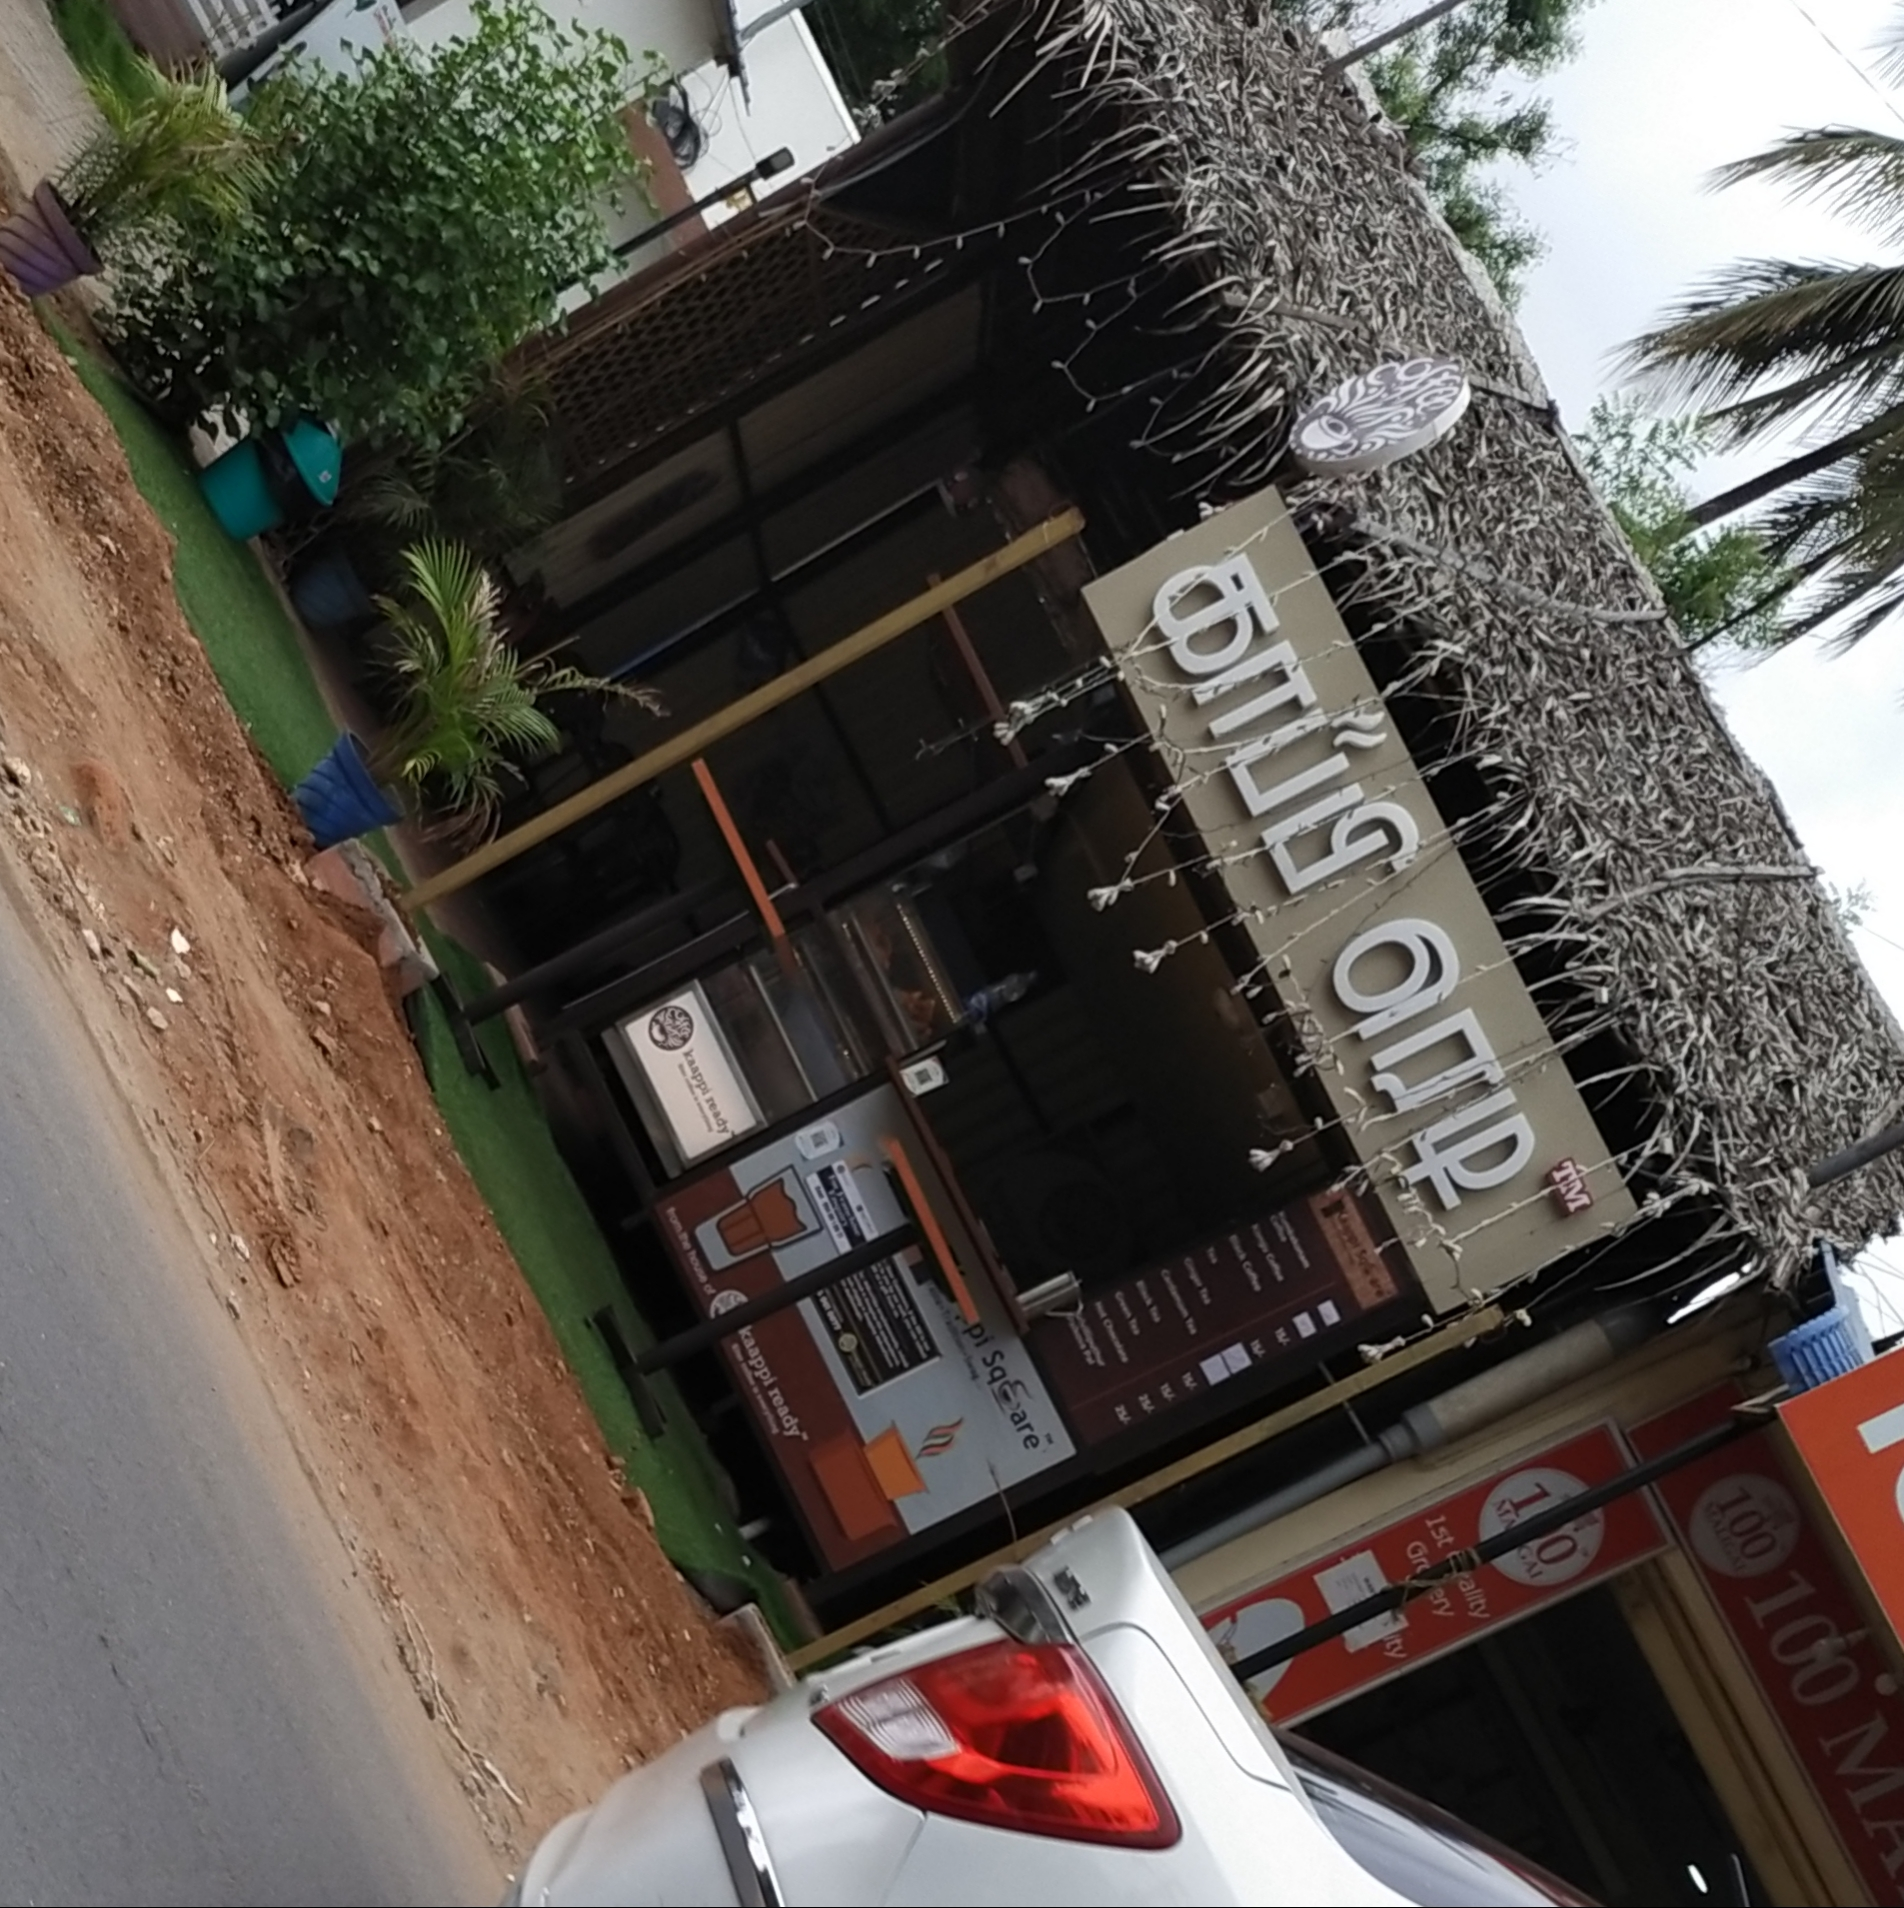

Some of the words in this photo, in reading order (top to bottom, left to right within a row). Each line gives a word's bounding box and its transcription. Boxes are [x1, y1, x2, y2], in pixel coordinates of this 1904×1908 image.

[1140, 551, 1426, 899] காப்பி
[1324, 904, 1547, 1217] ரெடி